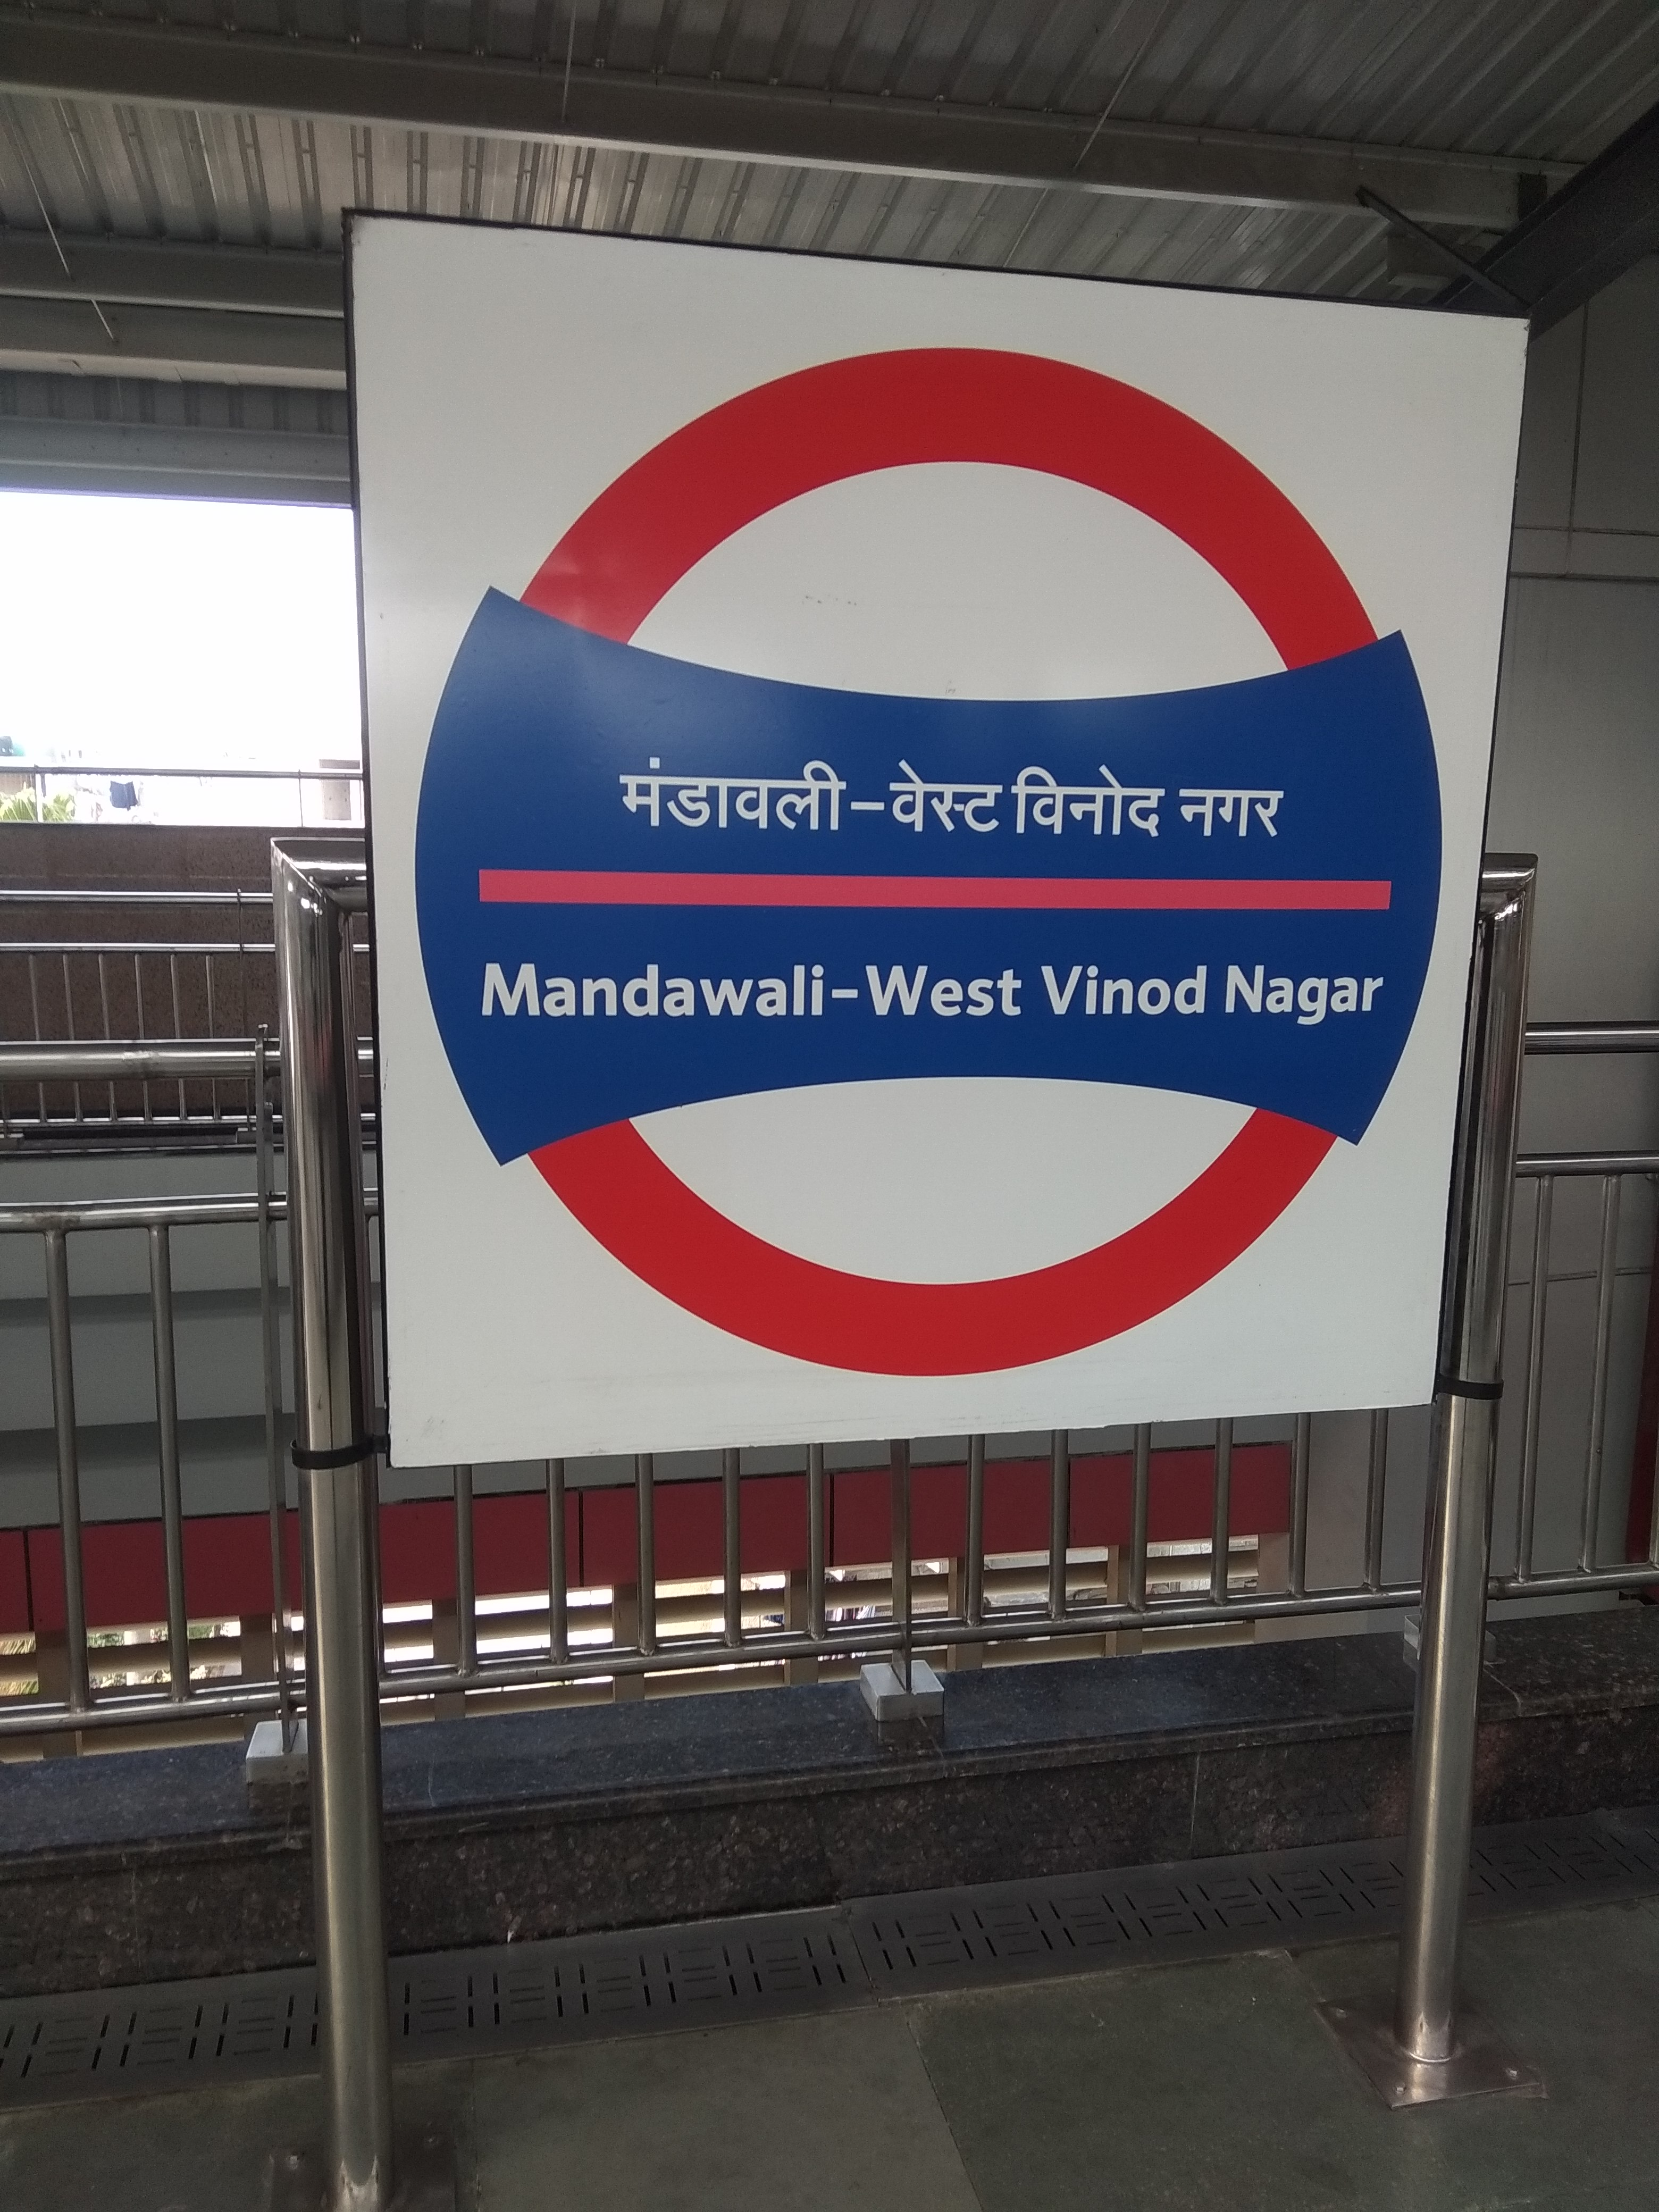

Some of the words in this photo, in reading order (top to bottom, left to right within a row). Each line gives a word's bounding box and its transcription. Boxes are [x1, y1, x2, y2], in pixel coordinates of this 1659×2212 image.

[618, 756, 848, 839] मंडावली
[886, 755, 1006, 840] वेस्ट
[1004, 760, 1168, 841] विनोद
[1172, 786, 1288, 839] नगर
[477, 959, 827, 1022] Mandawali
[862, 962, 1023, 1020] West
[1037, 960, 1211, 1019] Vinod
[1222, 961, 1389, 1030] Nagar